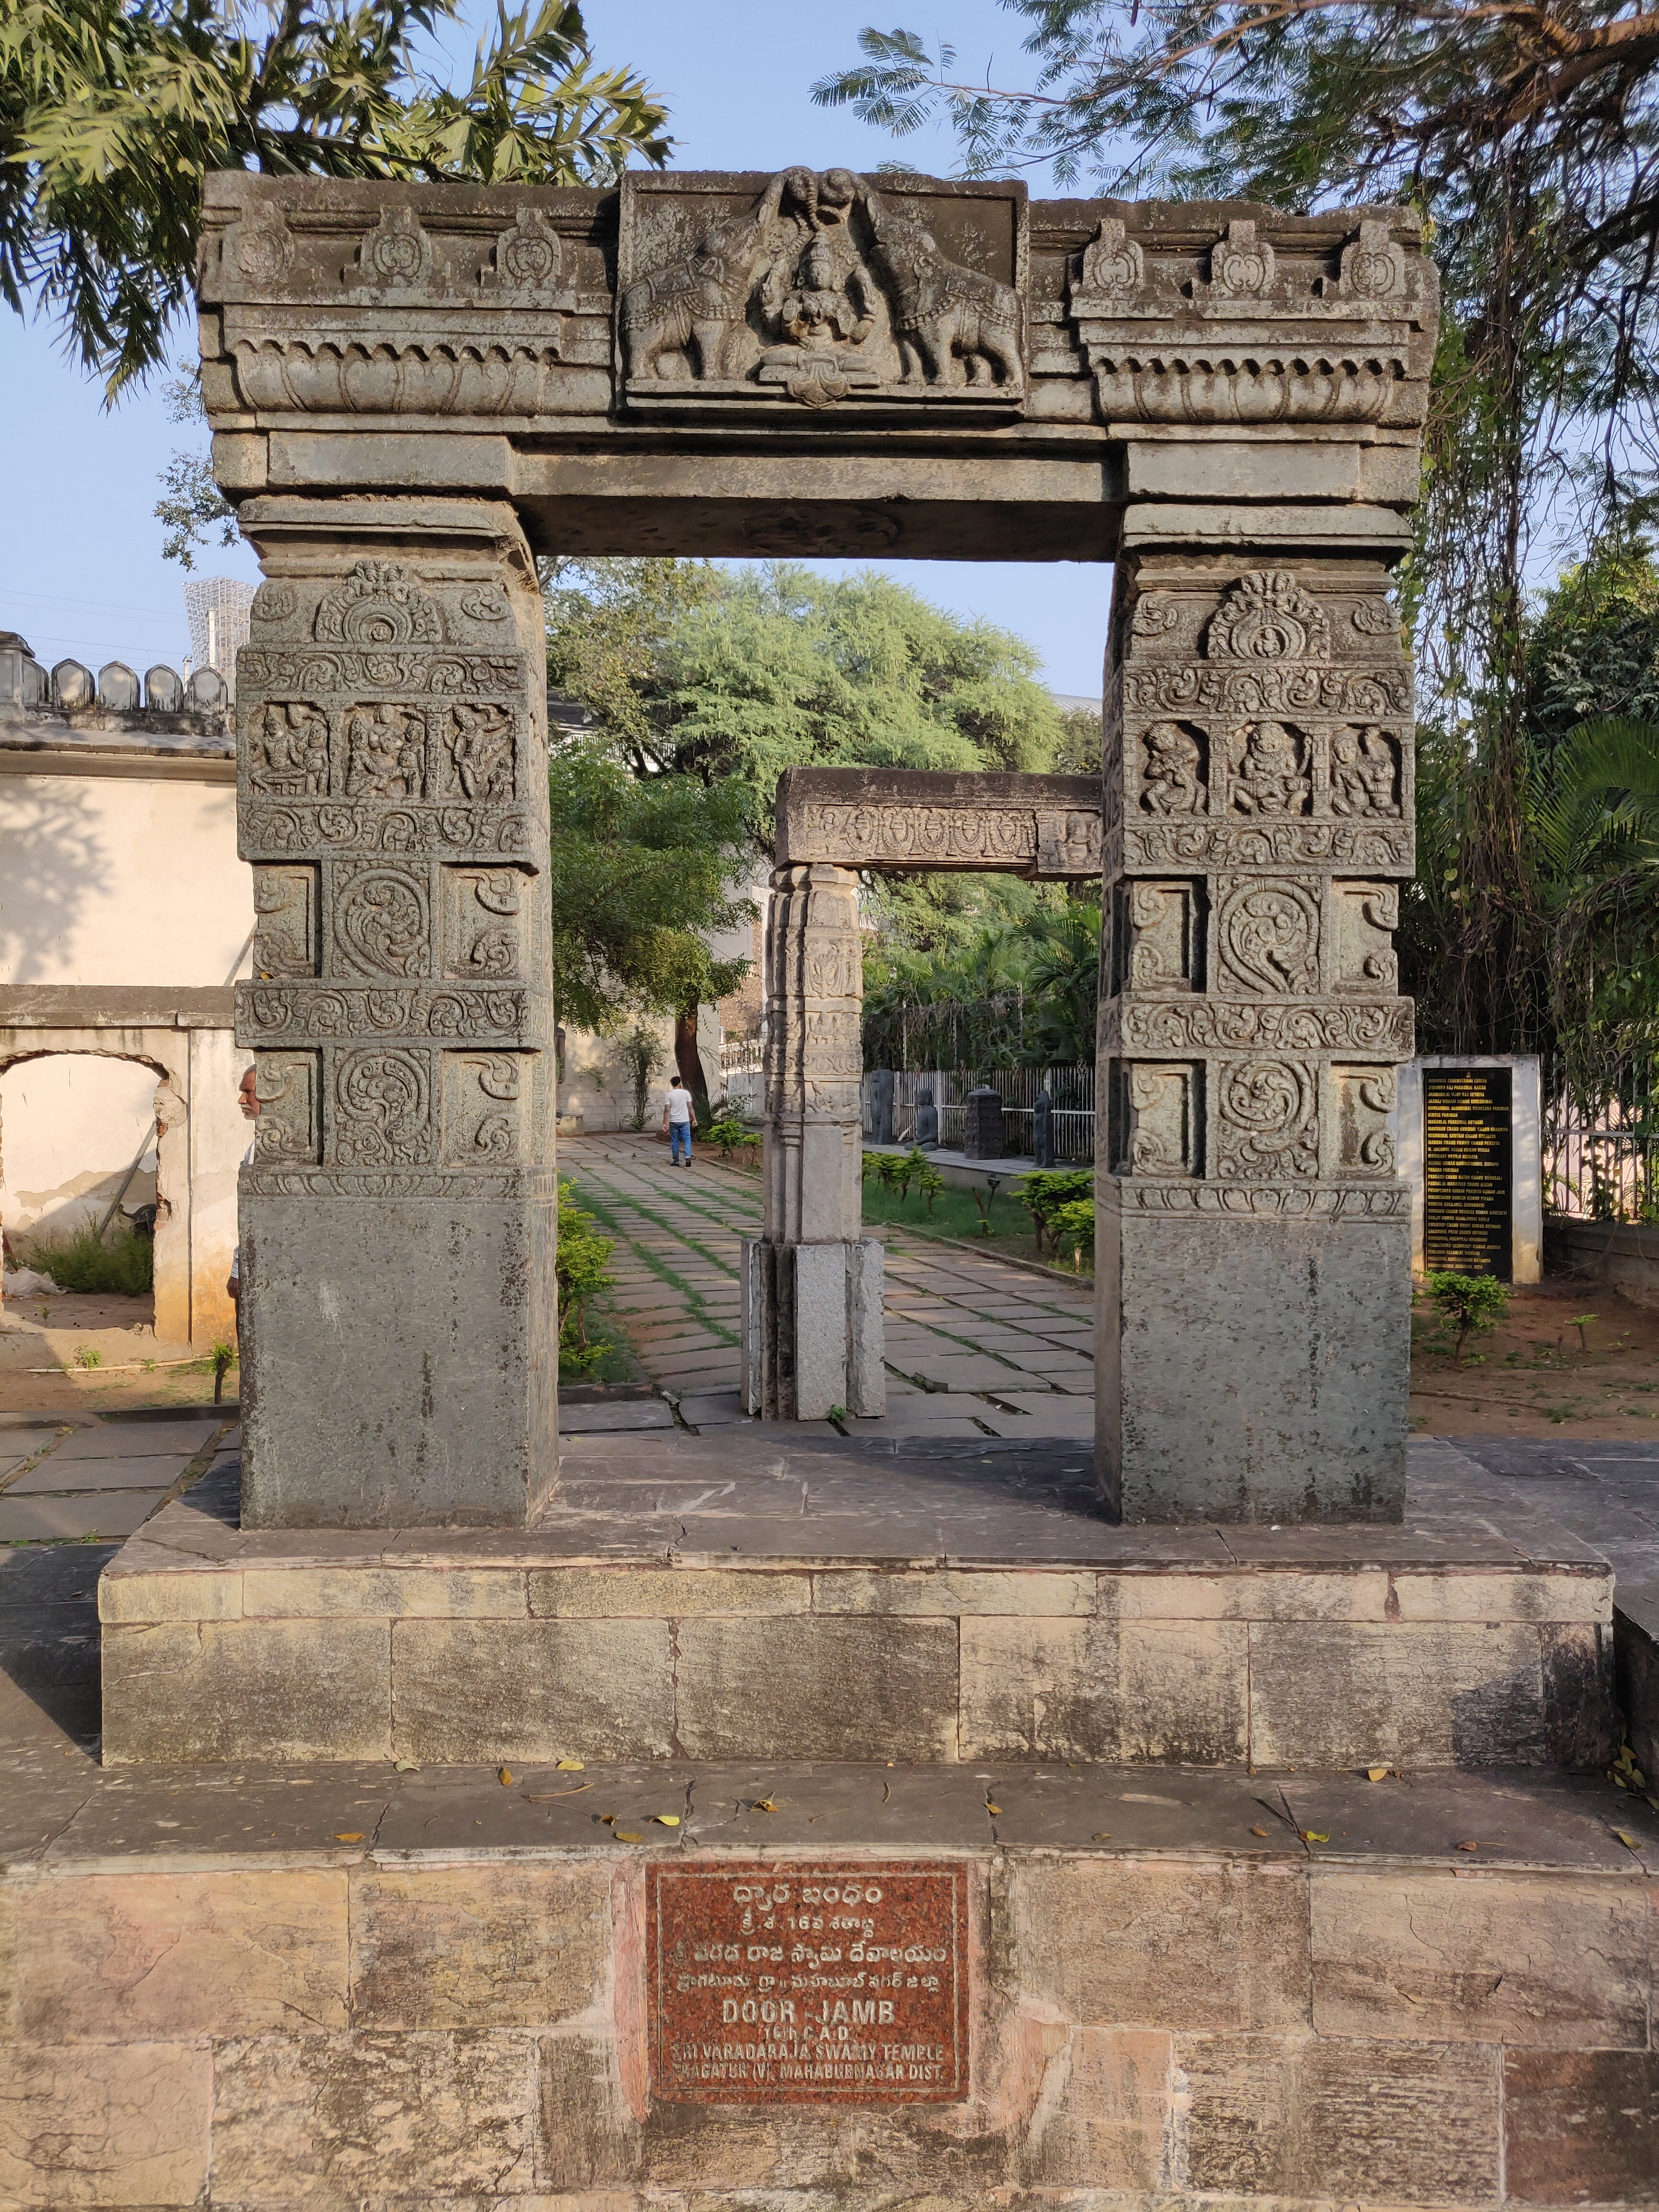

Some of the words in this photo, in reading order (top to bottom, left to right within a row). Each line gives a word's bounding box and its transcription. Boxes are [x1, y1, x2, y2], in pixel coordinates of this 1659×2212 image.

[729, 1882, 793, 1913] ద్వార
[798, 1882, 885, 1907] బంధం
[737, 1902, 757, 1937] శ్రీ
[760, 1911, 781, 1931] శ.
[785, 1912, 824, 1934] 16వ
[827, 1911, 878, 1940] శతాబ్ది
[693, 1941, 744, 1967] వరద
[744, 1943, 787, 1965] రాజ
[789, 1941, 843, 1972] స్ఫామ
[843, 1940, 949, 1967] దేవాలయం
[673, 1968, 754, 1992] ప్రాగటూరు
[755, 1969, 869, 1992] గ్రా॥ మహబూబ్.
[865, 1970, 942, 1995] సగర్ జిల్లా
[719, 1997, 797, 2026] DOOR
[812, 1996, 898, 2027] JAMB
[760, 2023, 799, 2043] 16h
[798, 2022, 852, 2043] CAD
[670, 2038, 700, 2063] SRI
[698, 2039, 813, 2066] VARADARAJA
[811, 2040, 878, 2062] SWAMY
[880, 2040, 945, 2064] TEMPLE
[670, 2056, 753, 2080] TRAGATUN
[775, 2059, 905, 2083] MAHABUBNAGAR
[906, 2062, 944, 2083] DIST.